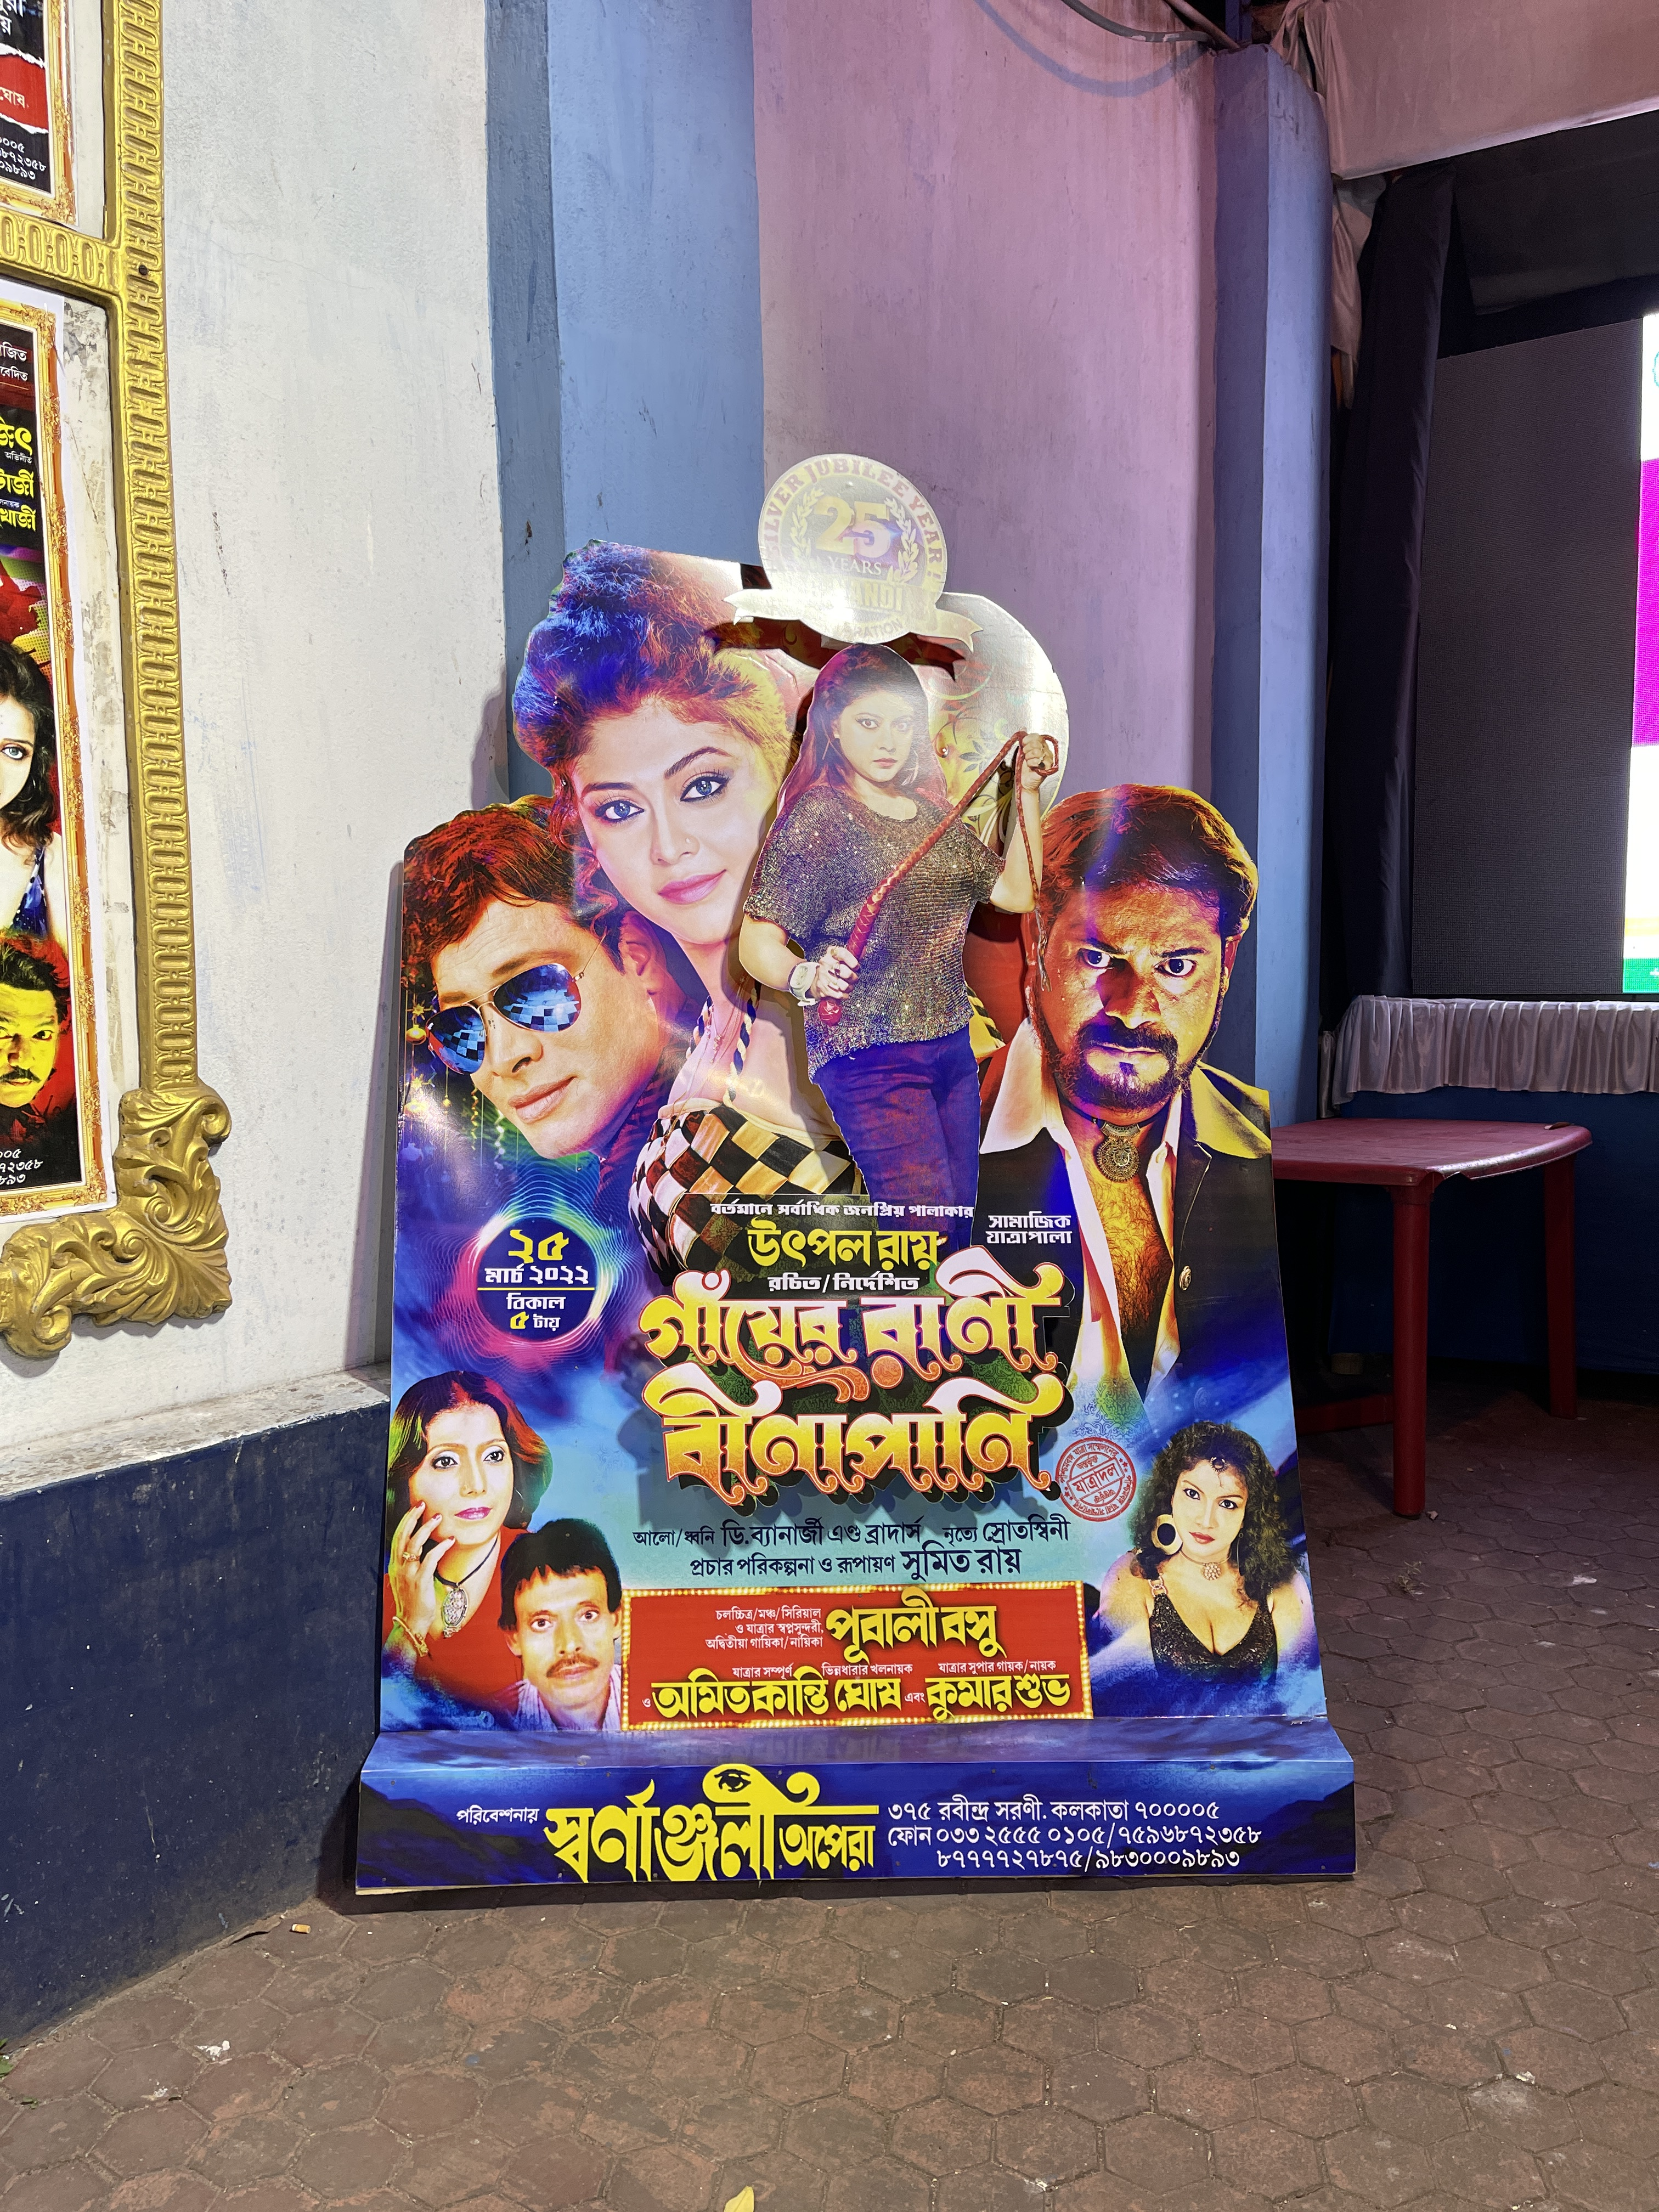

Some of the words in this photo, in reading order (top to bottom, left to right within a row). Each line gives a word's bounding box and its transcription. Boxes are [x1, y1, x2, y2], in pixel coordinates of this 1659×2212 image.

[703, 1192, 777, 1220] বর্তমানে
[773, 1189, 846, 1224] সর্বাধিক
[838, 1194, 909, 1223] জনপ্রিয়
[903, 1197, 977, 1222] পালাকার
[980, 1205, 1081, 1236] সামাজিক
[738, 1211, 958, 1277] উৎপল রায়
[979, 1227, 1077, 1248] যাত্রাপালা
[477, 1256, 595, 1290] মার্চ২০২২
[760, 1266, 823, 1300] রচিত
[824, 1263, 930, 1299] /নির্দেশিত
[500, 1285, 571, 1314] বিকাল
[525, 1310, 572, 1337] টায়
[629, 1254, 876, 1412] গাঁয়ের
[856, 1237, 1084, 1389] রানী
[634, 1351, 1073, 1520] বীনাপানি
[631, 1518, 721, 1553] আলো/ধ্বনি
[712, 1510, 832, 1553] ডি.ব্যানার্জী
[822, 1513, 932, 1550] এগুব্রাদার্স
[933, 1517, 987, 1551] নৃত্যে
[979, 1506, 1075, 1550] স্রোতস্বিনী
[684, 1548, 743, 1577] প্রচার
[732, 1546, 818, 1580] পরিকল্পনা
[817, 1551, 904, 1576] ওরূপায়ণ
[898, 1531, 1030, 1589] সুমিত রায়
[699, 1629, 751, 1655] অদ্বিতীয়া
[711, 1598, 761, 1623] চলচ্চিত্র/
[731, 1620, 777, 1639] ওযাত্রার
[754, 1604, 781, 1628] /মঞ্চ/
[746, 1626, 789, 1656] গায়িকা/
[773, 1617, 824, 1641] স্বপ্নসুন্দরী
[773, 1595, 826, 1623] / সিরিয়াল
[783, 1627, 826, 1652] /নায়িকা
[821, 1576, 1017, 1673] পুবলীবসু
[718, 1662, 800, 1686] যাত্রারসম্পূর্ণ
[816, 1653, 919, 1683] ভিন্নধারারখলনায়ক
[936, 1654, 1000, 1681] যাত্রারসুপার
[990, 1651, 1064, 1676] ব গায়ক/নায়ক
[644, 1661, 836, 1724] অমিতকান্তি
[824, 1672, 909, 1718] ঘোষ
[900, 1688, 936, 1705] এবং
[924, 1668, 1081, 1732] কুমারশুভ
[451, 1798, 547, 1831] পরিবেশনায়
[533, 1750, 885, 1887] স্বর্ণাঞ্জলী অসেরা
[885, 1798, 939, 1828] ৩৭৫
[881, 1815, 983, 1850] ফোন০৩৩
[929, 1788, 994, 1827] রবীন্দ্র
[978, 1820, 1046, 1849] ২৫৫৫
[991, 1785, 1048, 1826] সরণী.
[1046, 1794, 1132, 1829] কলকাতা
[1040, 1823, 1269, 1852] - ০১০৫/৭৫৯৬৮৭২৩৫৮
[1133, 1794, 1227, 1825] ৭০০০০৫
[933, 1844, 1091, 1872] ৮৭৭৭৭২৭৮৭৫
[1086, 1846, 1246, 1872] ৯৮৩০০০৯৮৯৩